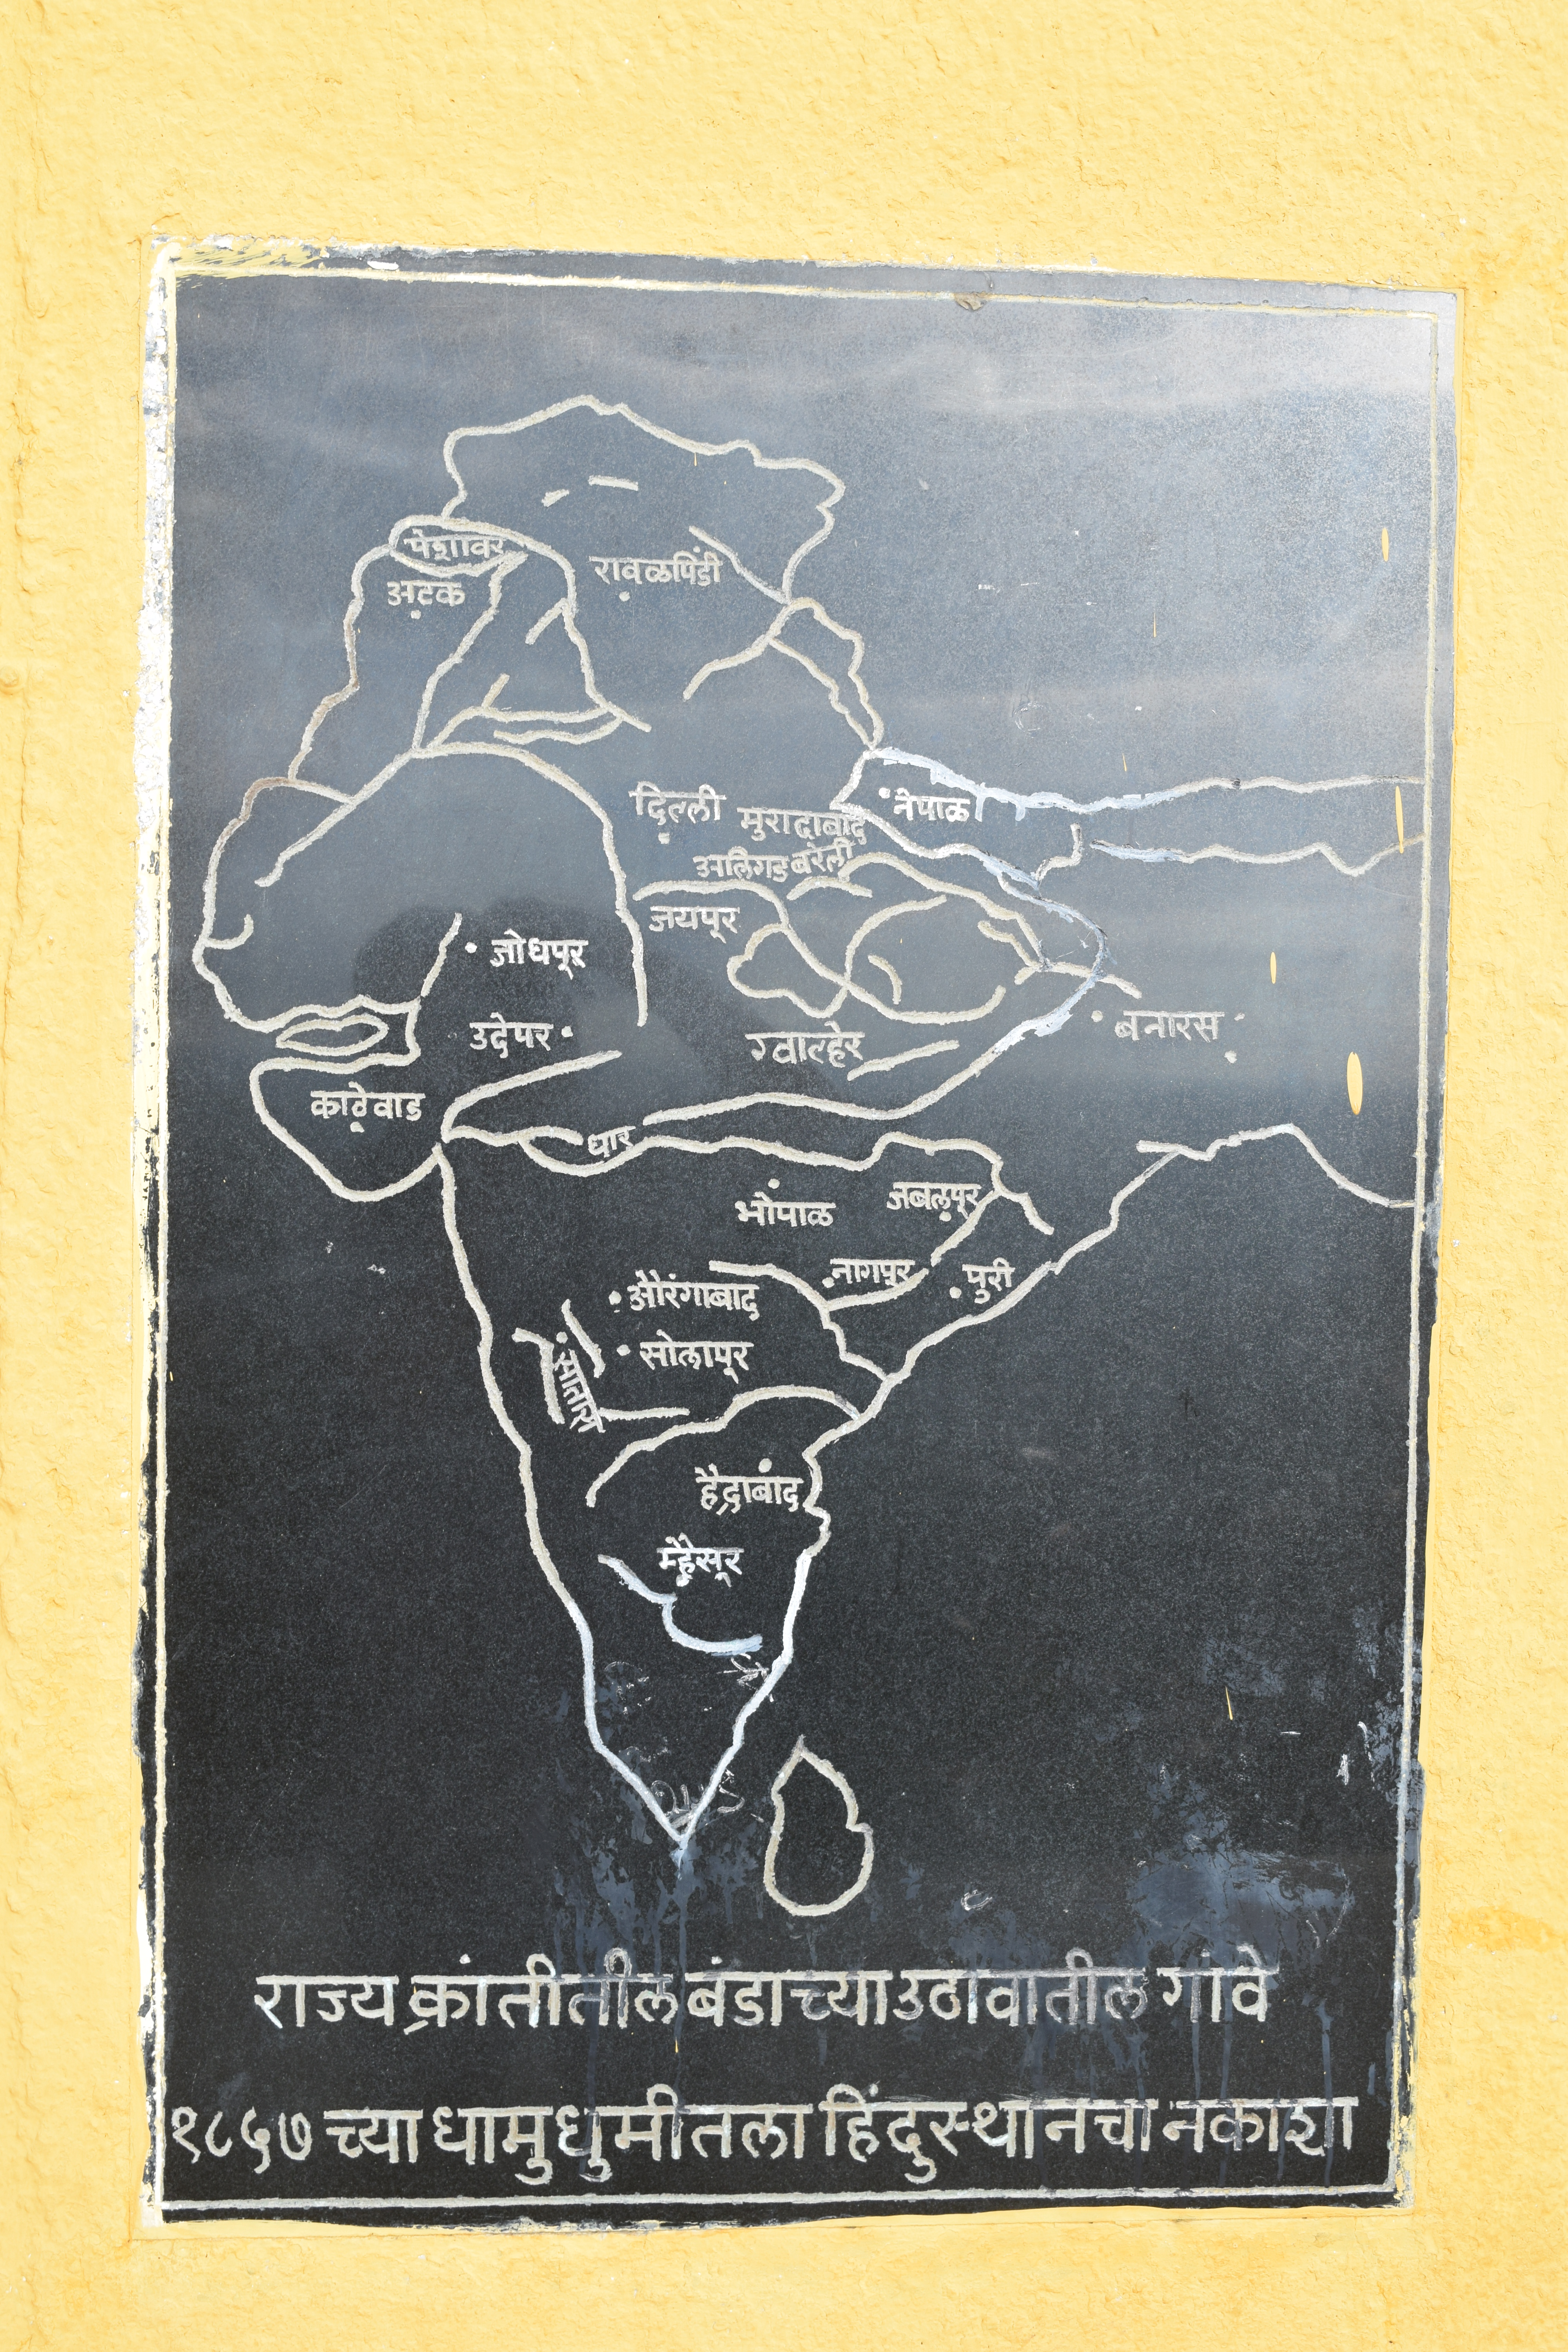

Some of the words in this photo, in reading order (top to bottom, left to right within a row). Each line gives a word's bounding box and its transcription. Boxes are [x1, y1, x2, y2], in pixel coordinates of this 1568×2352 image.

[383, 576, 472, 609] अटक
[399, 526, 512, 565] पेशावर
[582, 543, 729, 589] रावळपिंडी
[620, 777, 735, 833] दिल्ली
[733, 801, 871, 847] मुरादाबाद
[889, 784, 974, 828] नेपाळ
[687, 844, 795, 886] अलिगड
[788, 837, 860, 877] बरेली
[643, 897, 751, 950] जयपूर
[481, 920, 596, 990] जोधपूर
[460, 1005, 557, 1064] उदेपर
[737, 1017, 873, 1074] ग्वाल्हेर
[1106, 1004, 1232, 1049] बनारस
[301, 1076, 428, 1126] काठेवाड
[582, 1118, 641, 1161] धार
[728, 1185, 844, 1236] भोपाळ
[879, 1177, 987, 1221] जबलपूर
[619, 1259, 770, 1326] ओरंगाबाद
[822, 1252, 920, 1293] नागपूर
[954, 1254, 1022, 1308] पुरी
[631, 1323, 768, 1388] सोलापूर
[550, 1344, 607, 1440] सातारां
[684, 1451, 808, 1528] हैद्राबांद
[645, 1524, 753, 1596] म्हैूसूर
[245, 1969, 402, 2038] राज्य
[397, 1940, 684, 2045] क्रांतीतील
[678, 1947, 898, 2039] बंडाच्या
[889, 1942, 1155, 2034] उठावातील
[1150, 1936, 1290, 2034] गांवे
[165, 2086, 318, 2183] १८५७
[318, 2099, 430, 2175] च्या
[424, 2098, 561, 2193] धामु
[550, 2076, 816, 2190] धुमीतला
[815, 2069, 1164, 2192] हिंदुस्थानचा
[1156, 2086, 1369, 2165] नकाशा